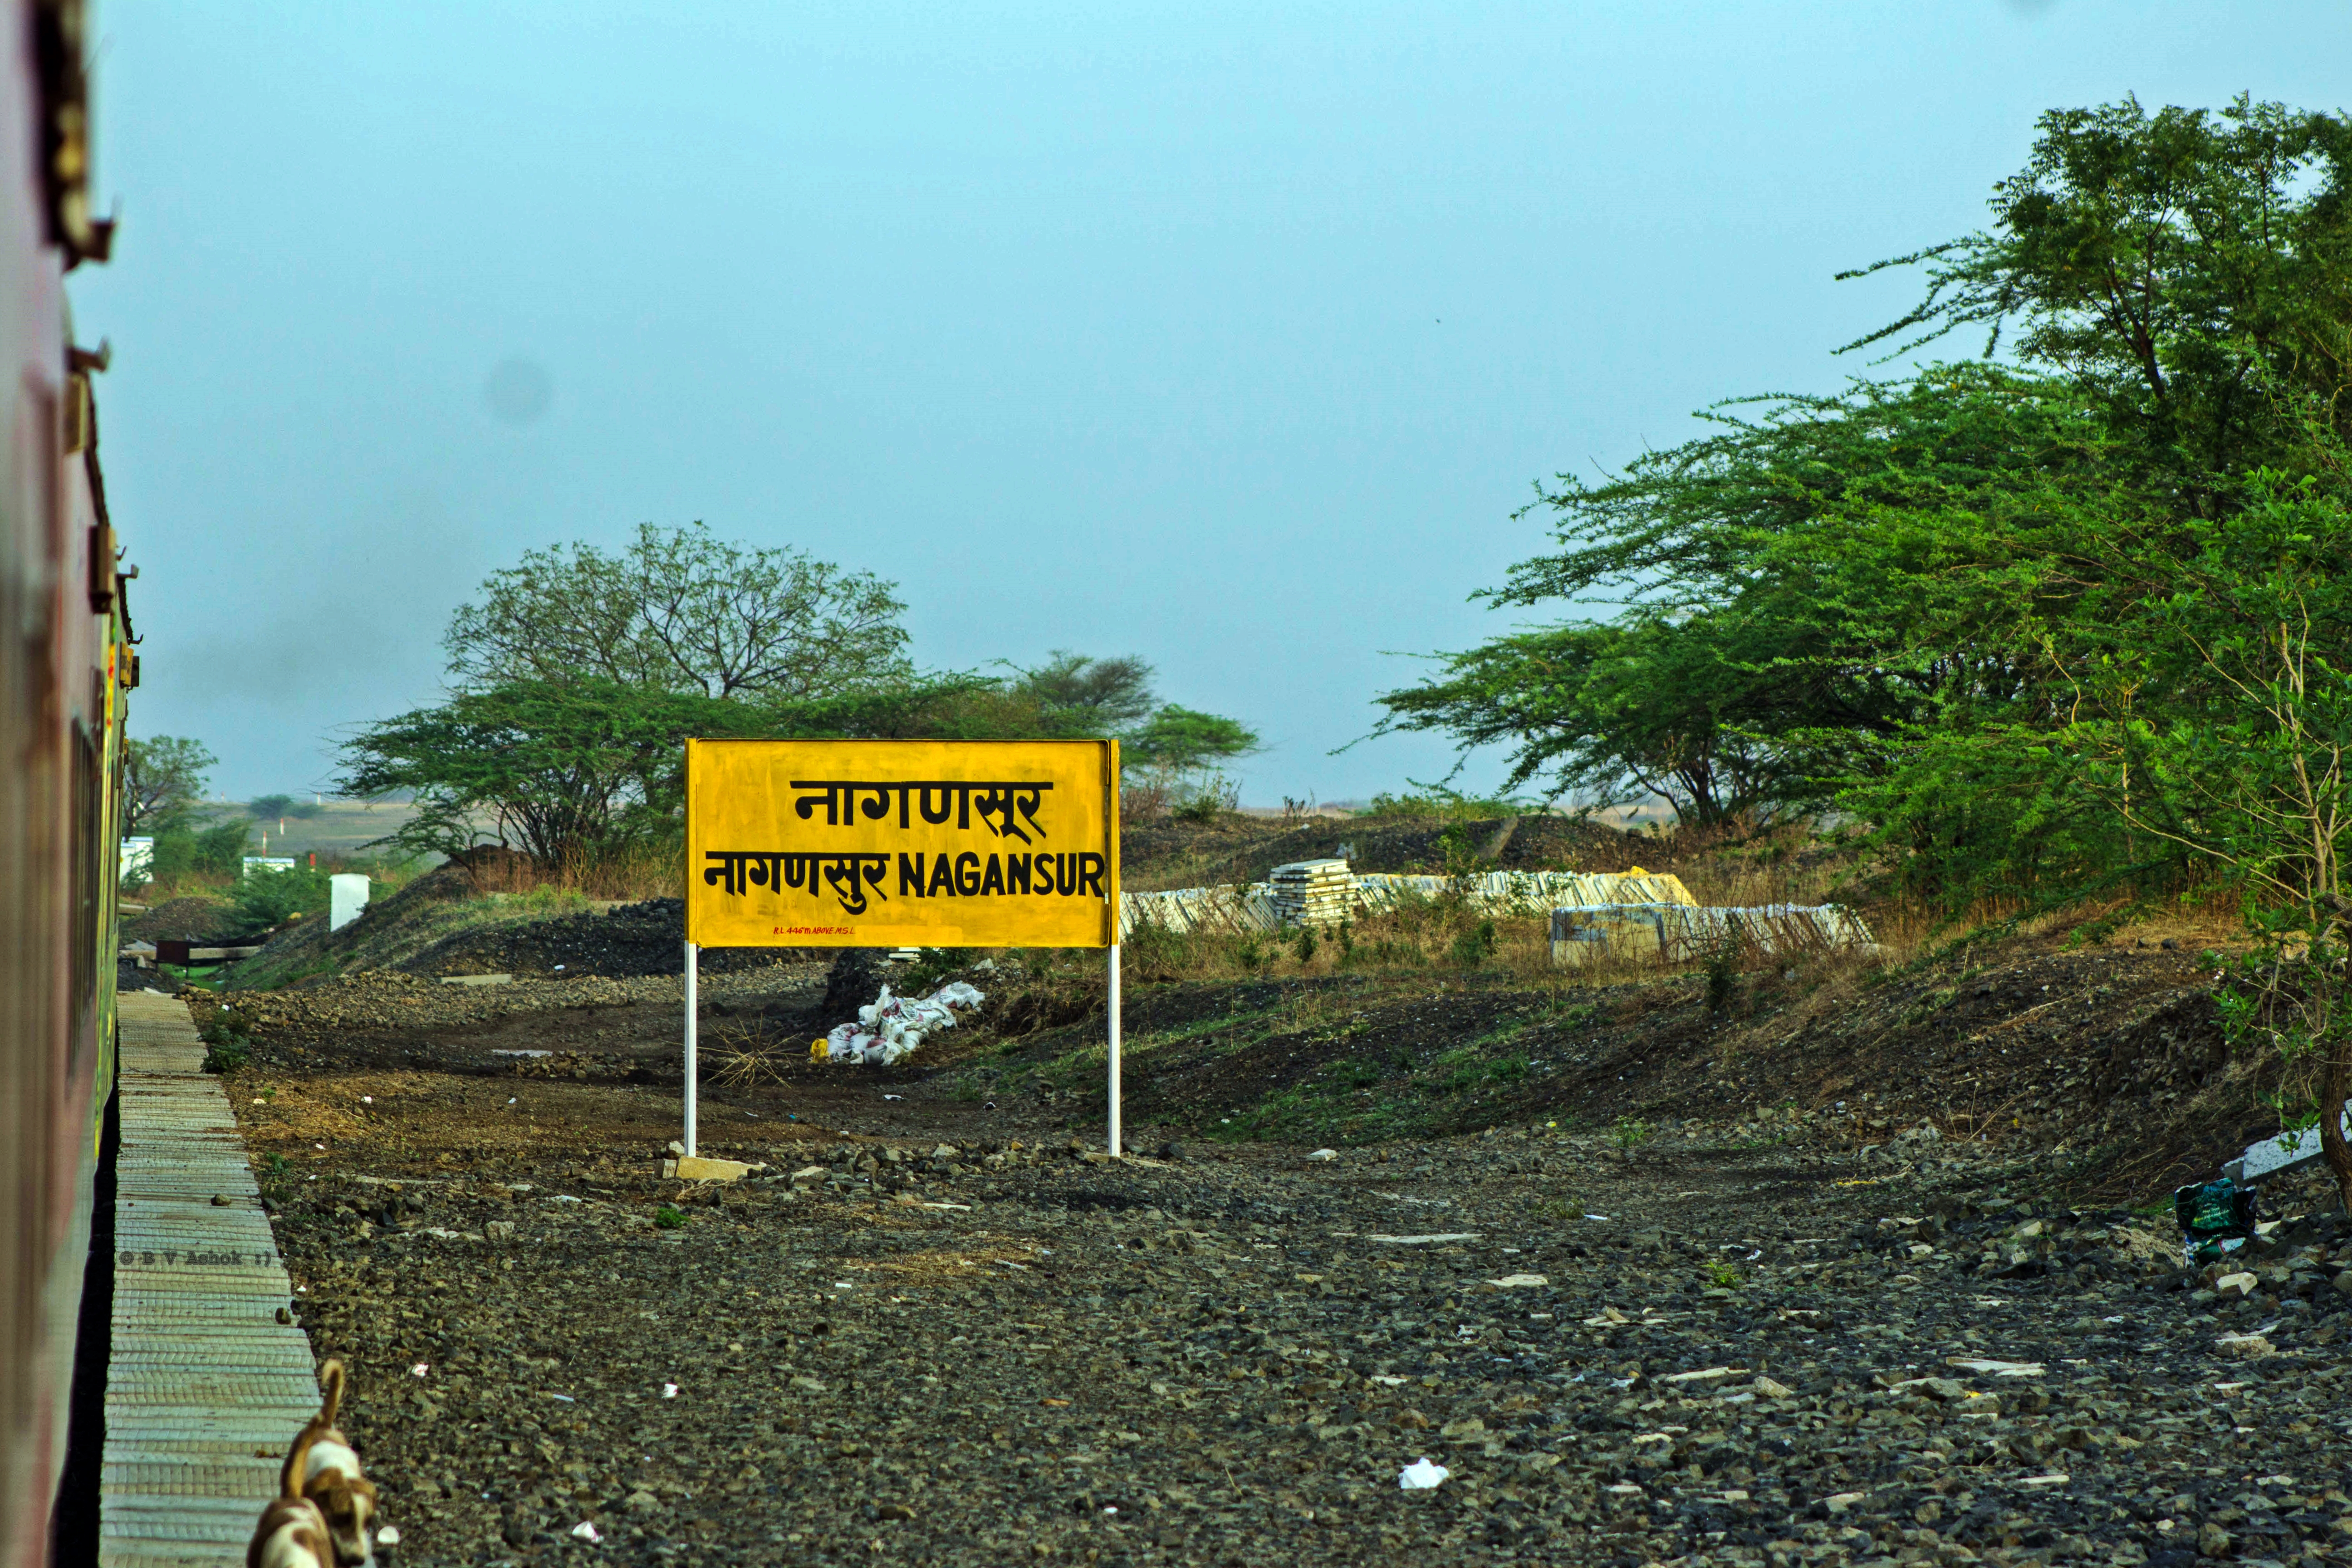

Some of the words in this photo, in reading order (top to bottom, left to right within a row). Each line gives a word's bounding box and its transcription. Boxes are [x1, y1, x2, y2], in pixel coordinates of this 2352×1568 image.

[788, 771, 1058, 846] नागणसूर
[701, 847, 892, 917] नागणसुर
[897, 849, 1109, 899] NAGANSUR
[772, 923, 856, 938] R.L.446M ABOVE MSL